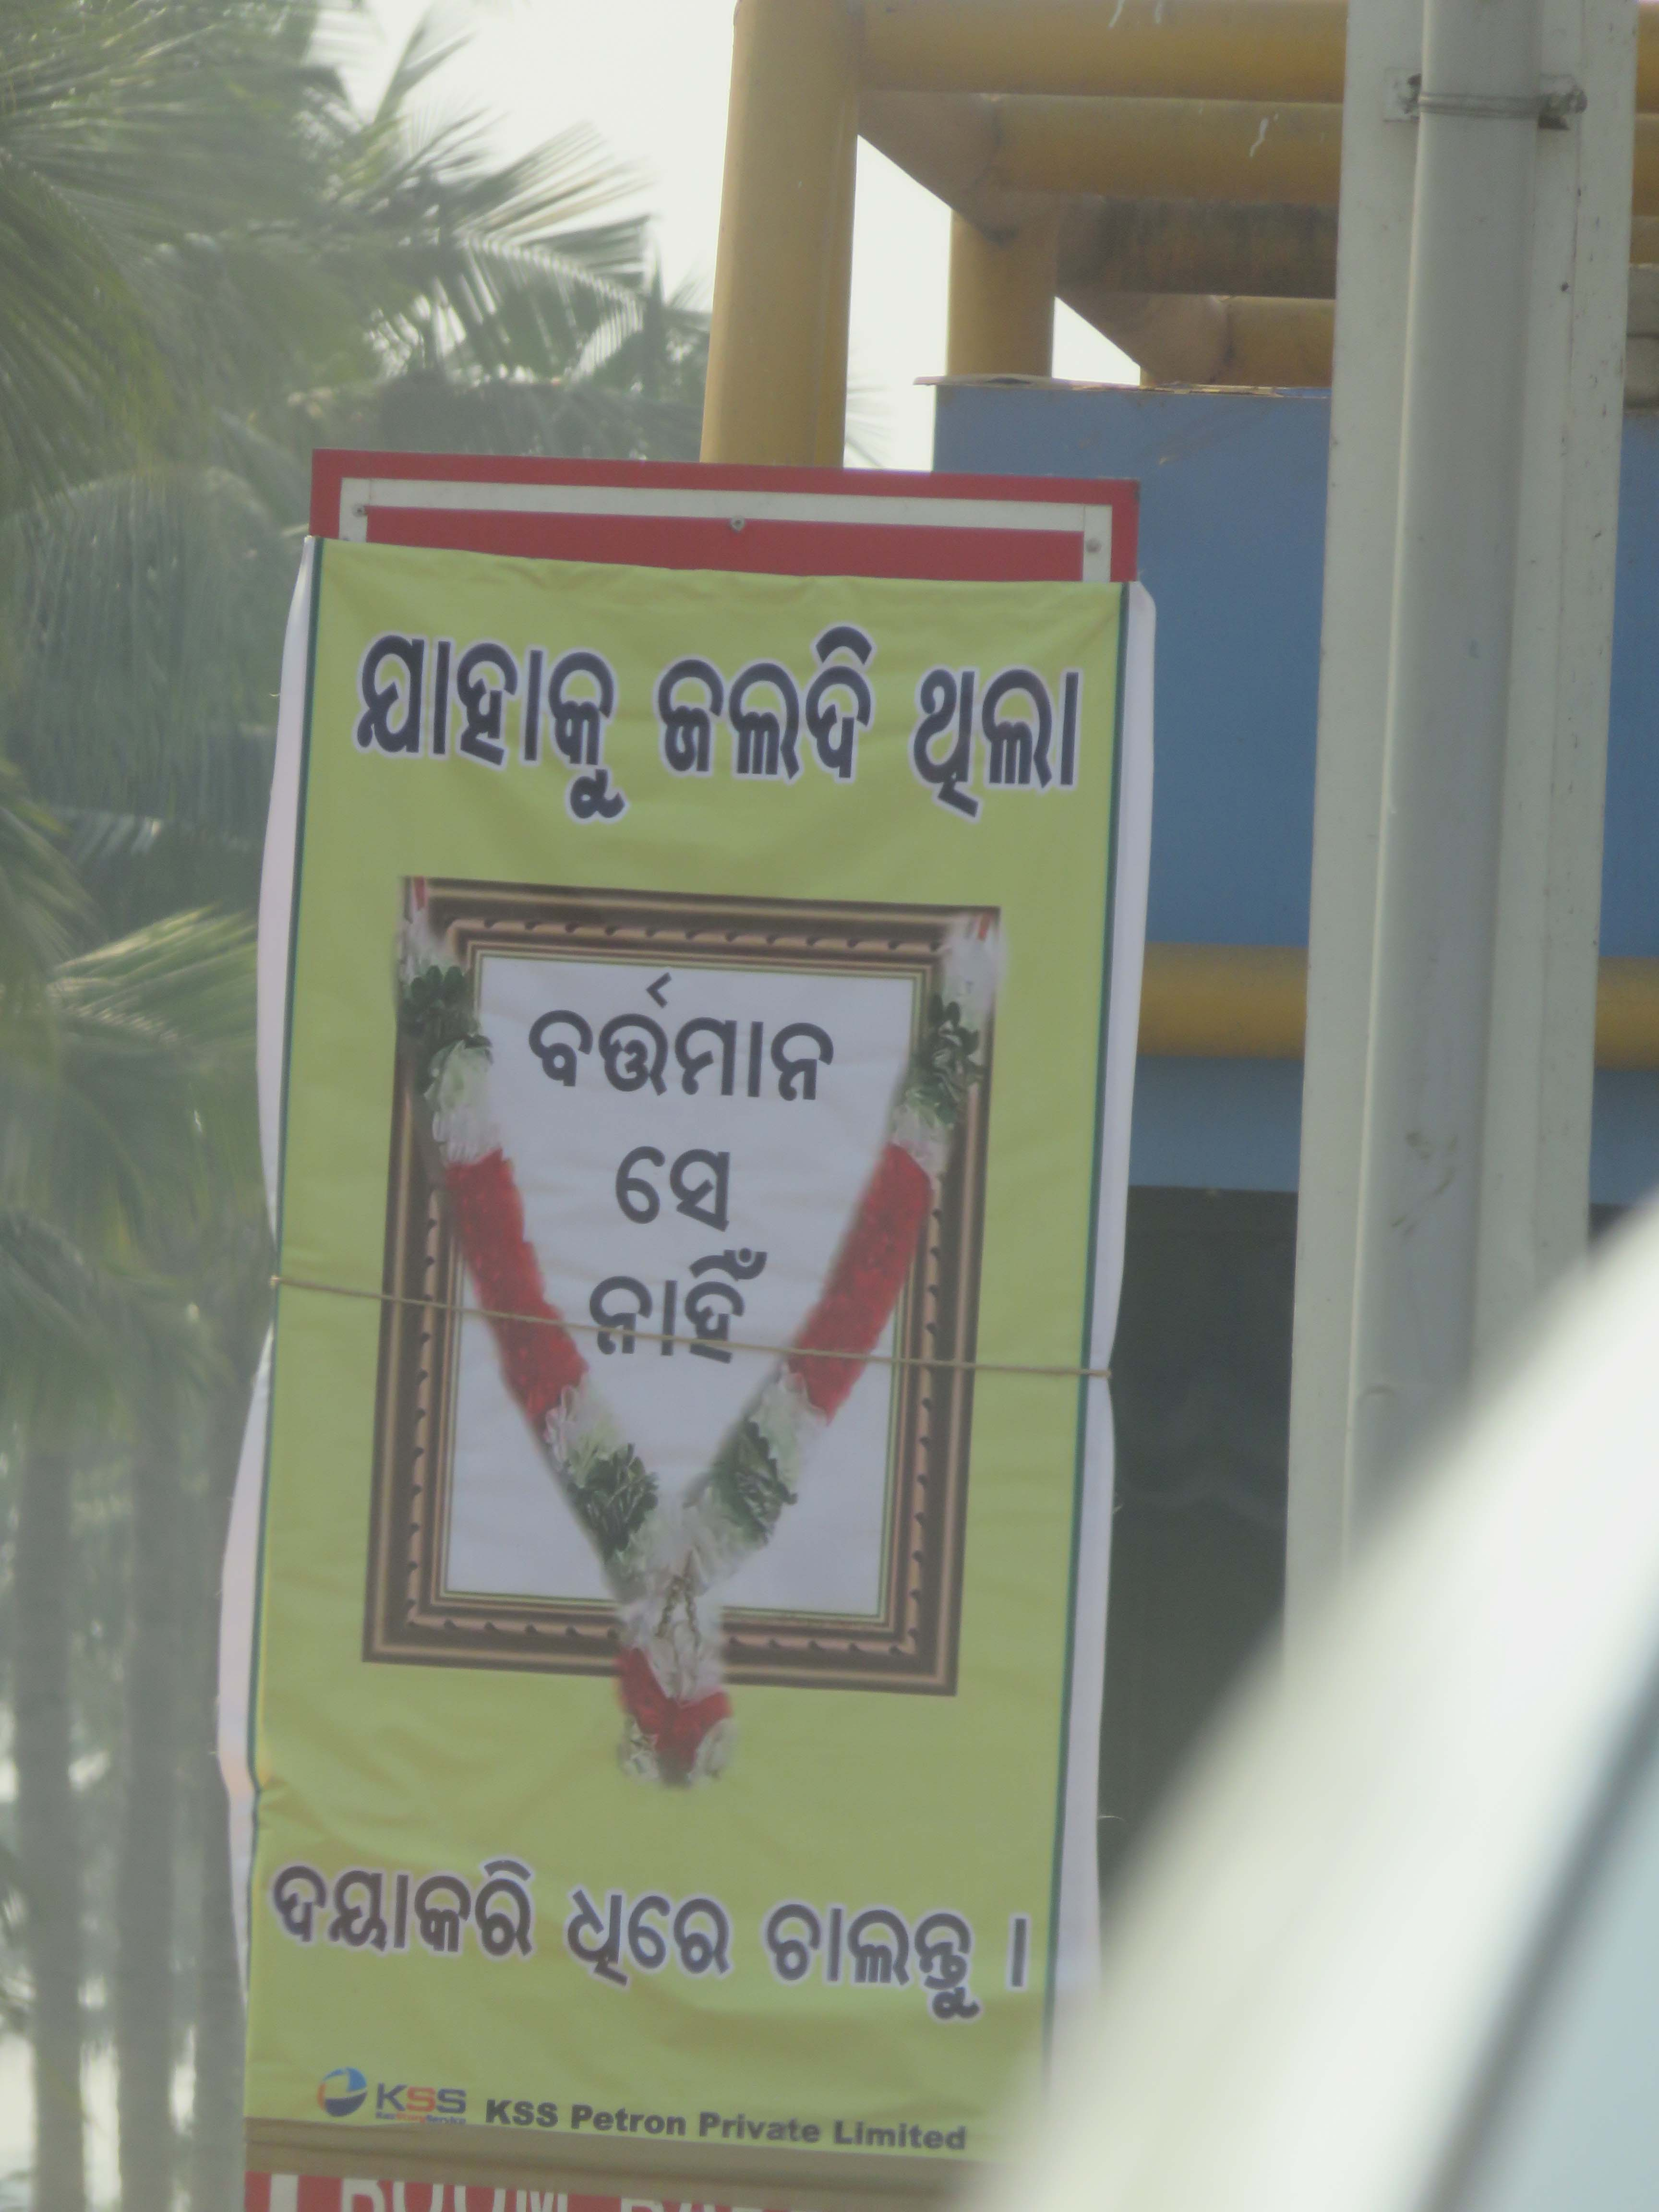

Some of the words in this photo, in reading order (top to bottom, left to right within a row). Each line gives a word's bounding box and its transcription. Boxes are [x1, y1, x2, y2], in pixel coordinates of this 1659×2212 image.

[347, 625, 634, 825] ଯାହାକୁ
[636, 615, 892, 796] ଜଲଦି
[888, 644, 1098, 829] ଥୁଲା
[521, 972, 843, 1115] ବର୍ତ୍ତମାନ
[611, 1127, 742, 1248] ସେ
[582, 1243, 774, 1372] ନାହିଁ
[266, 1844, 541, 1969] ଦୟାକରି
[552, 1871, 744, 1998] ଧୂରେ
[757, 1899, 990, 2025] ଚାଲନ୍ତୁ
[367, 2073, 474, 2132] KSS
[480, 2095, 566, 2135] KSS
[569, 2101, 694, 2143] Petron
[691, 2105, 826, 2151] Private
[831, 2120, 974, 2153] Limited